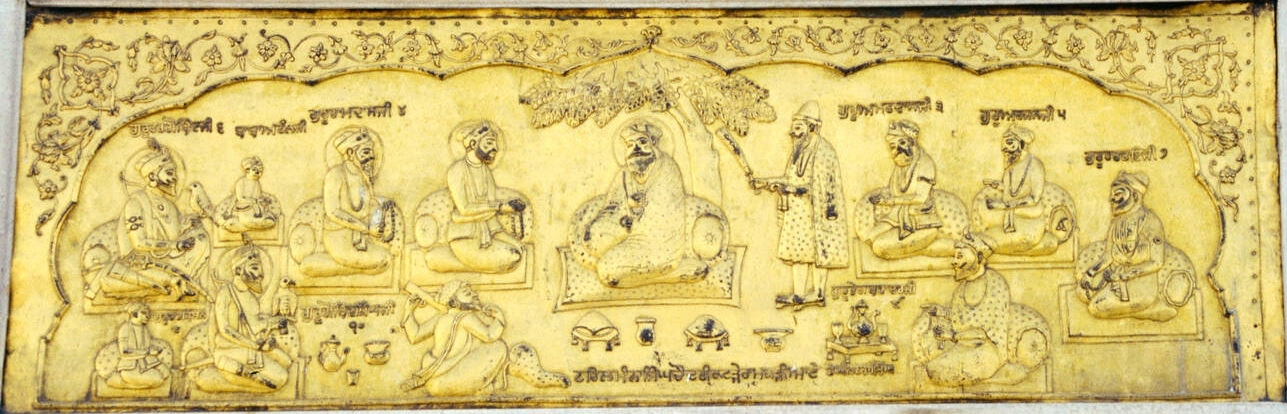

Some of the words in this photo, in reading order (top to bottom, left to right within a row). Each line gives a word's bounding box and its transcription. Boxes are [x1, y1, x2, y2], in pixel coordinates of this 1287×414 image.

[301, 98, 413, 132] ਗੁਰੂਹਮਦਾਸਜੀ ४
[343, 319, 368, 342] ੧੦